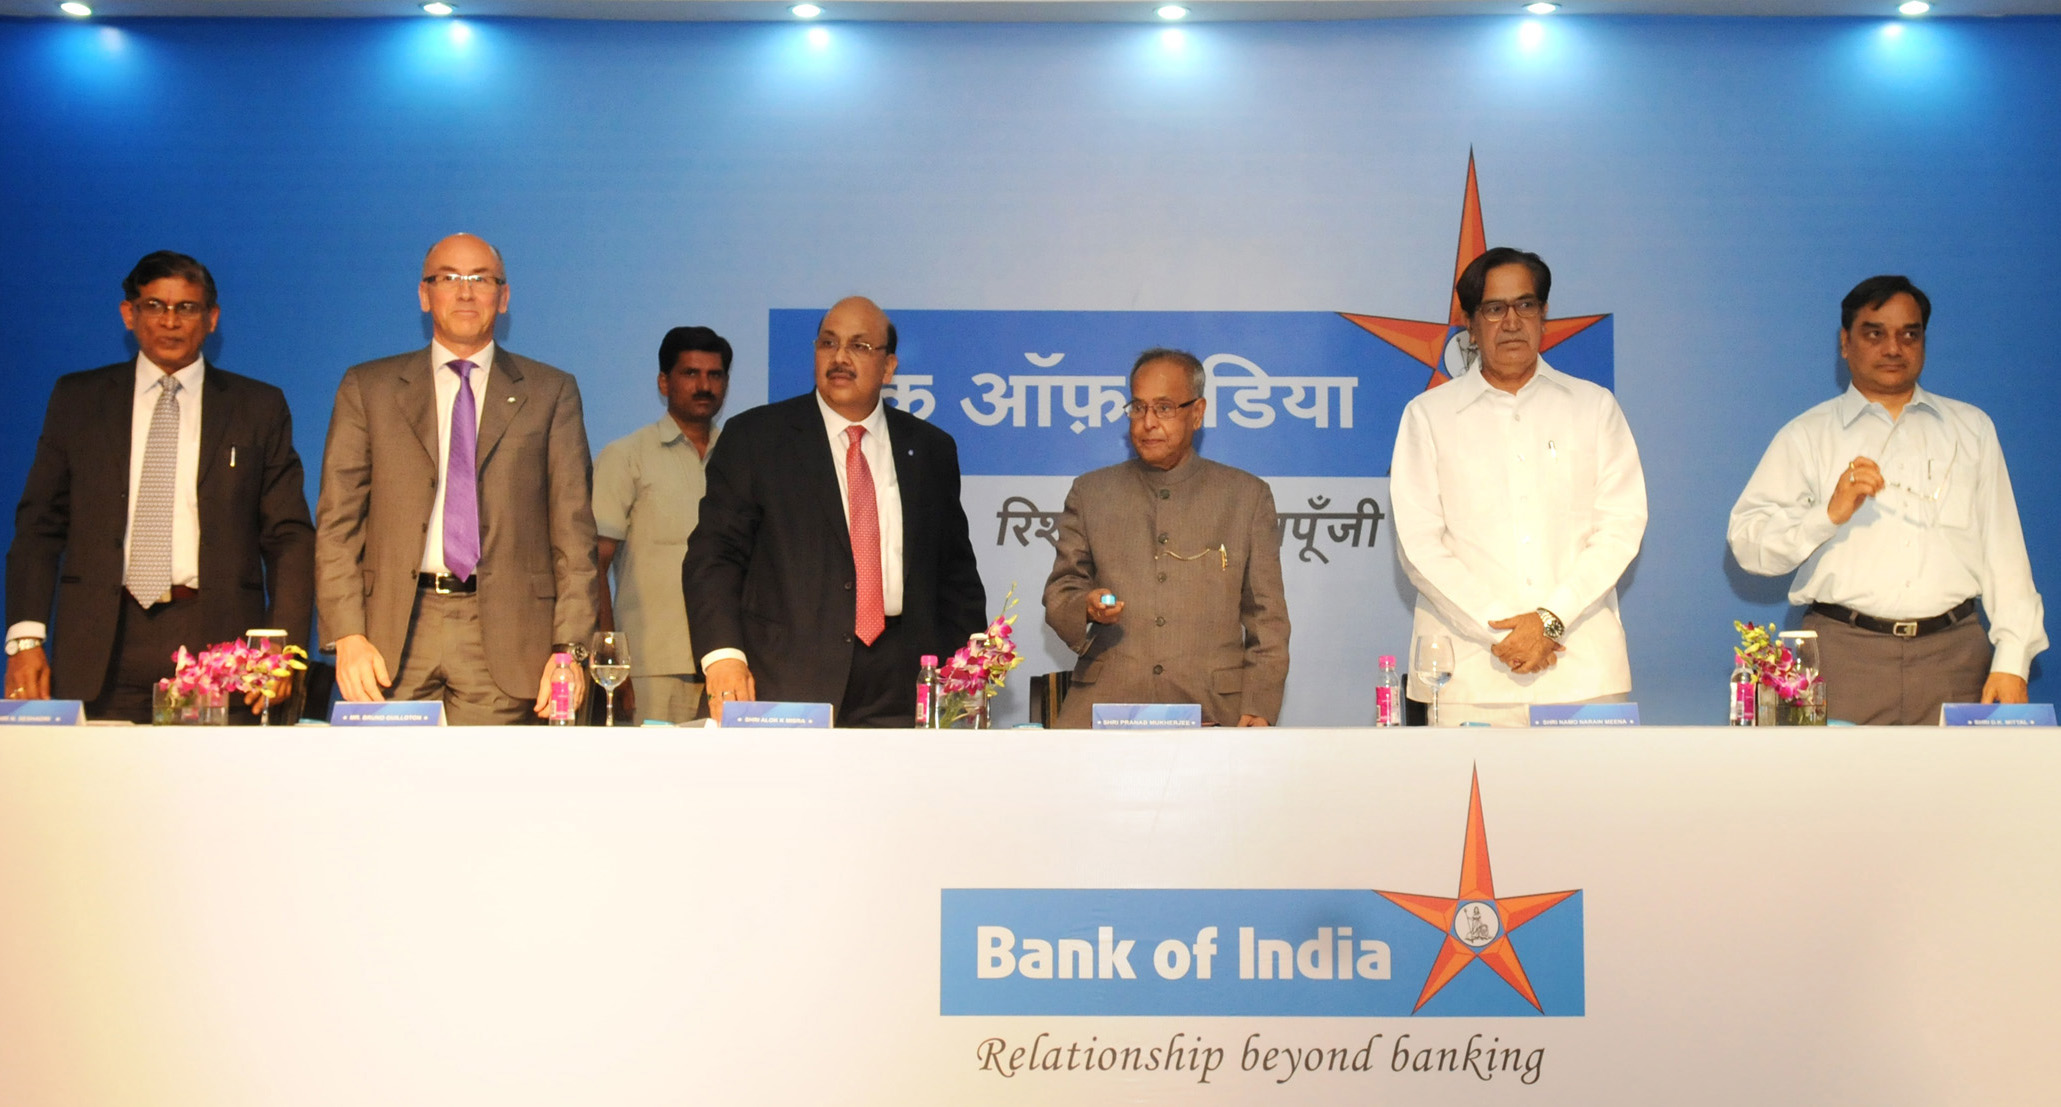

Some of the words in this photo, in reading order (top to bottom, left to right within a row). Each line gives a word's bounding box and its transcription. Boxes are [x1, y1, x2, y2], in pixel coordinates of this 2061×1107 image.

[955, 347, 1130, 438] ऑफ़
[1198, 352, 1359, 430] डिया
[992, 491, 1067, 552] रिश
[1282, 484, 1387, 569] पूँजी
[975, 923, 1140, 981] Bank
[1151, 922, 1221, 986] of
[1236, 924, 1393, 982] India
[975, 1030, 1227, 1087] Relationship
[1236, 1031, 1383, 1087] beyond
[1387, 1030, 1550, 1087] banking